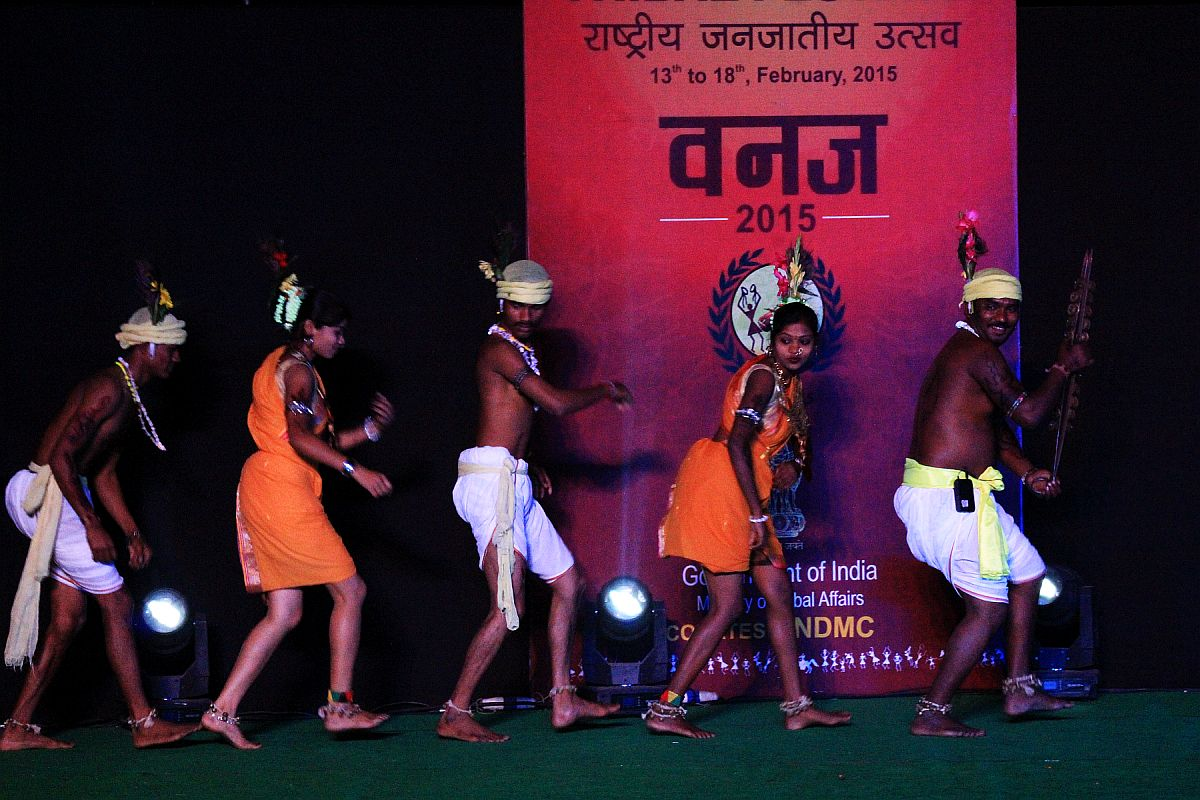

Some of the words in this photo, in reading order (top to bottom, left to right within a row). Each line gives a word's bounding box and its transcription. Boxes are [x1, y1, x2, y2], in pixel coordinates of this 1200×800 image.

[576, 7, 685, 58] राष्ट्रीय
[695, 3, 862, 56] जनजातीय
[870, 15, 960, 51] उत्सव
[645, 61, 685, 86] 13th
[683, 63, 709, 85] to
[705, 60, 749, 87] 18th
[754, 59, 847, 91] February,
[847, 57, 901, 87] 2015
[658, 107, 891, 202] वनज
[729, 198, 819, 237] 2015
[796, 557, 828, 589] of
[832, 555, 882, 586] India
[786, 587, 821, 613] bal
[813, 580, 867, 614] Affairs
[789, 611, 879, 644] NDMC